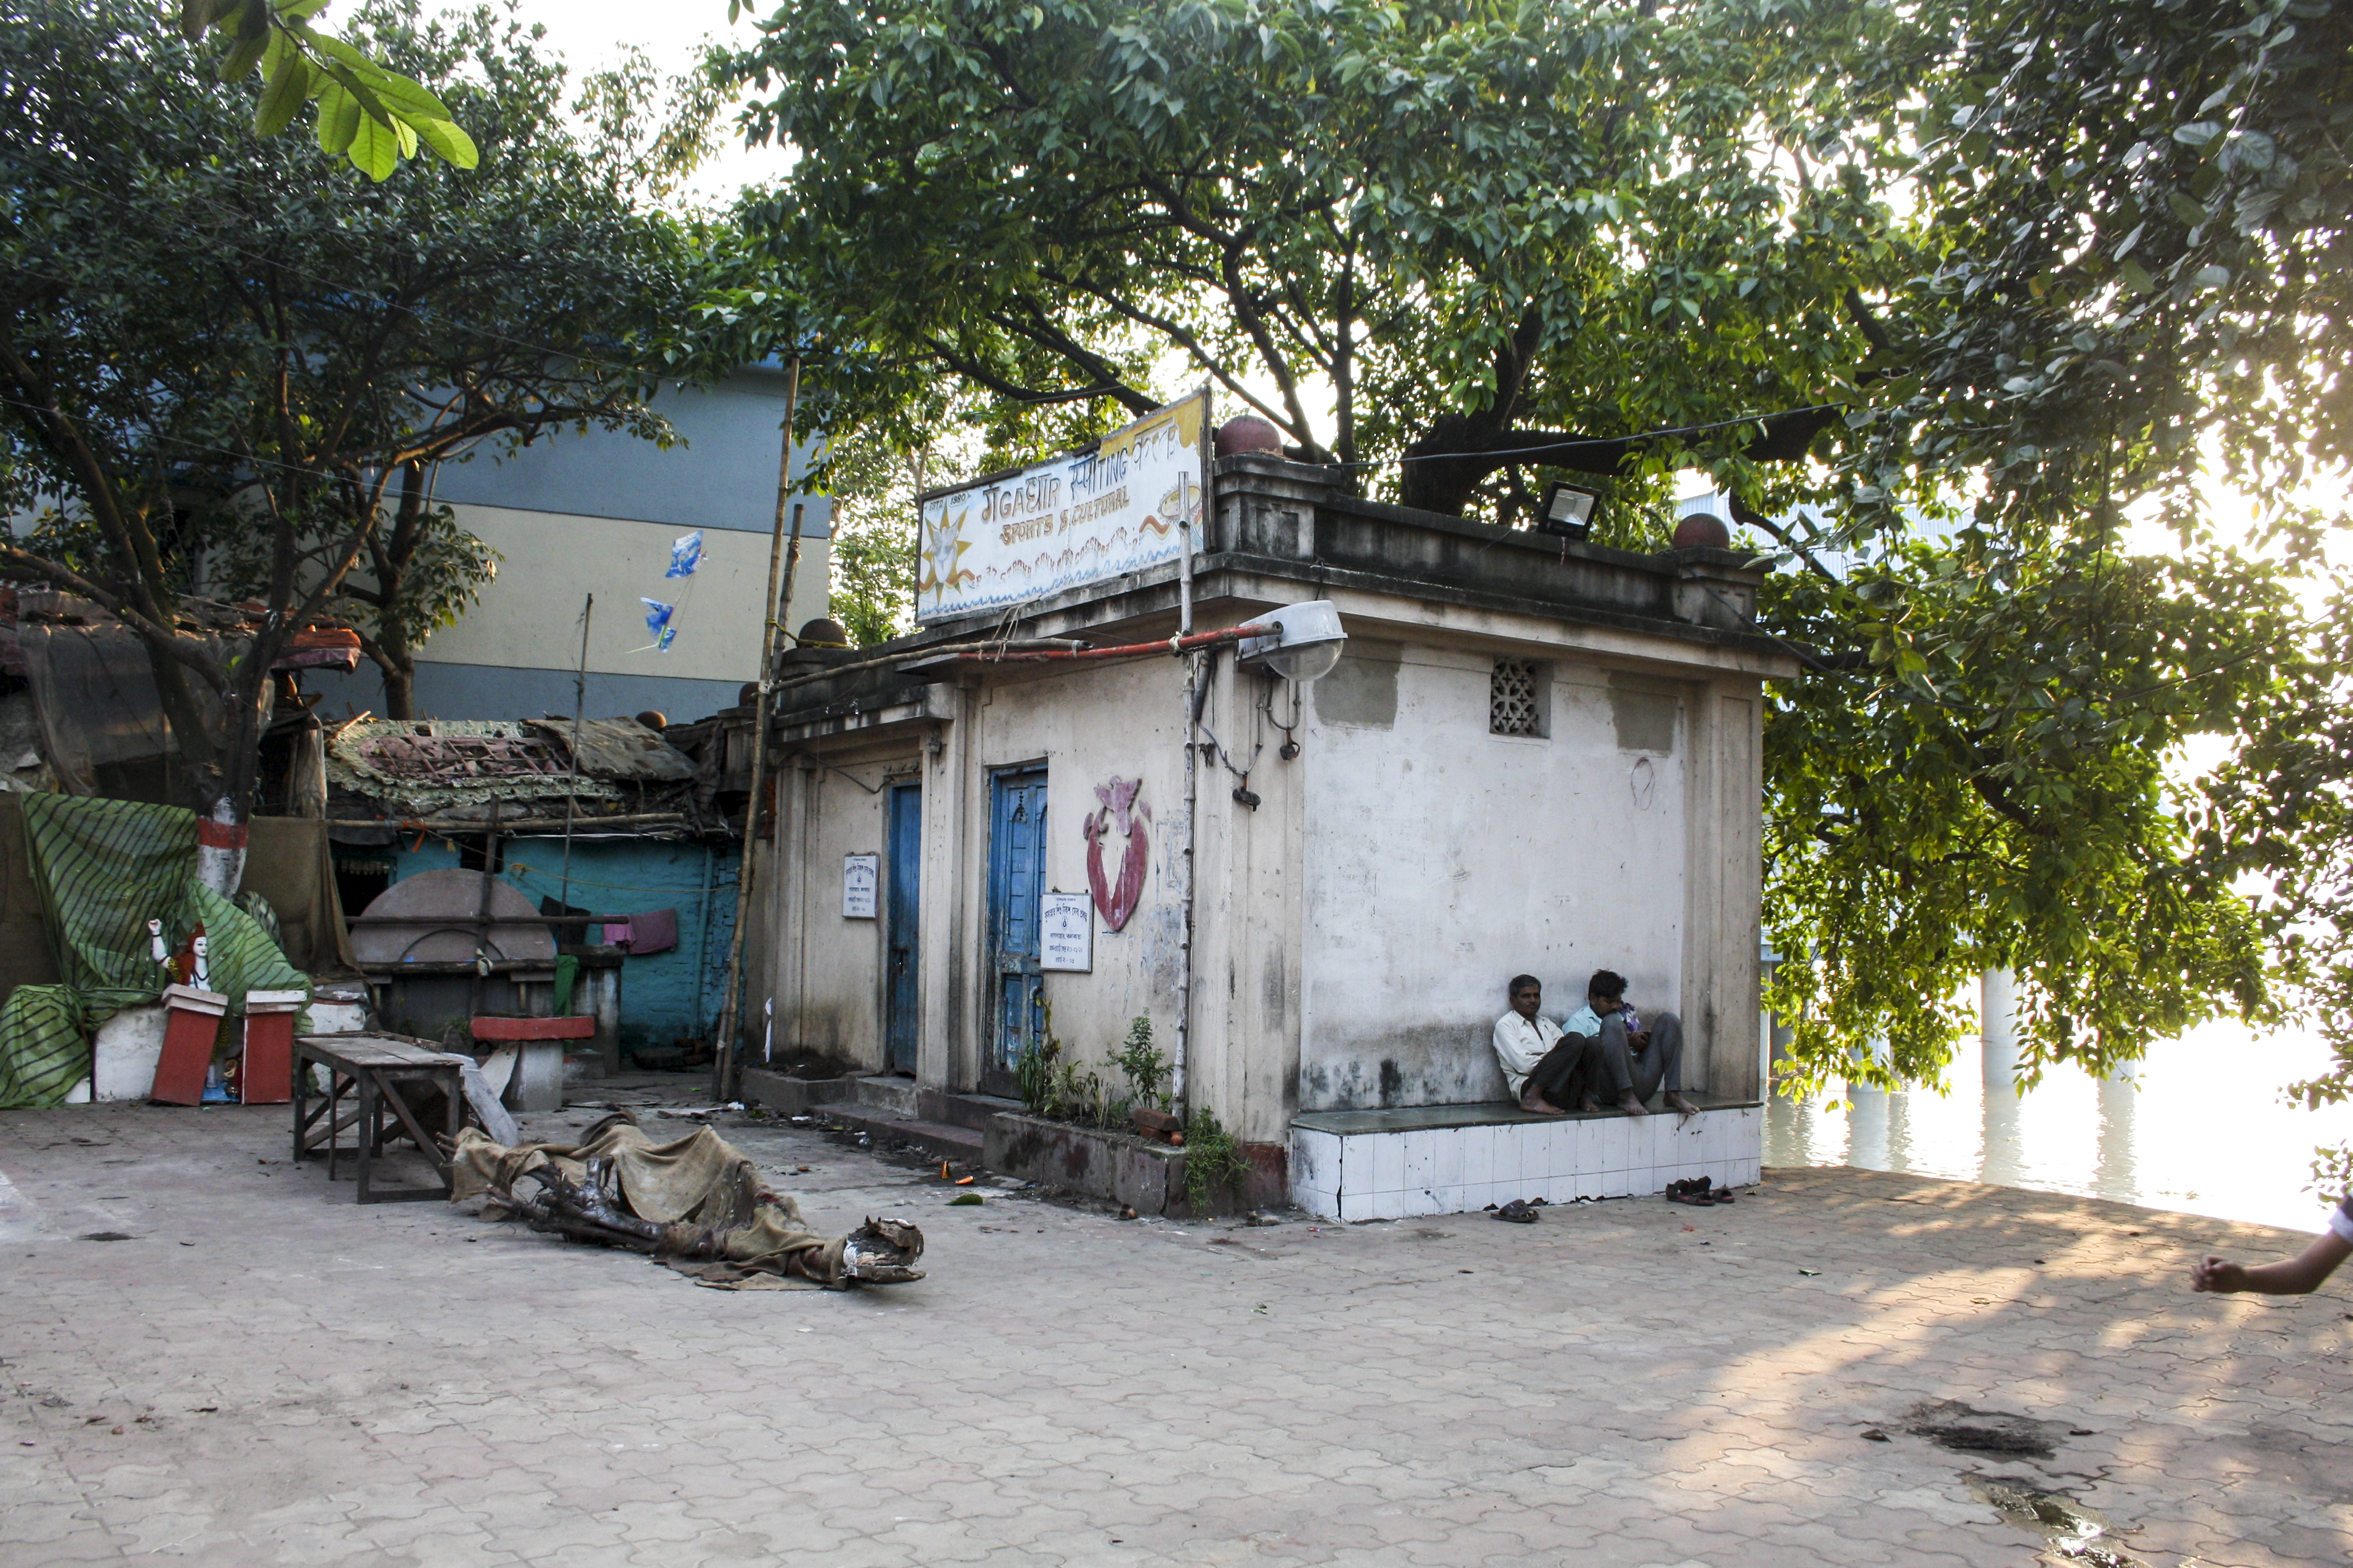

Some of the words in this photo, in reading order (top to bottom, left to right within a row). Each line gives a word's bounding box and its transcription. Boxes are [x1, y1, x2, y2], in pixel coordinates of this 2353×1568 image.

[1126, 411, 1176, 473] कल
[977, 468, 1067, 528] गGAधाR
[998, 510, 1057, 549] SPORTS
[1051, 484, 1134, 536] S CULTURAL